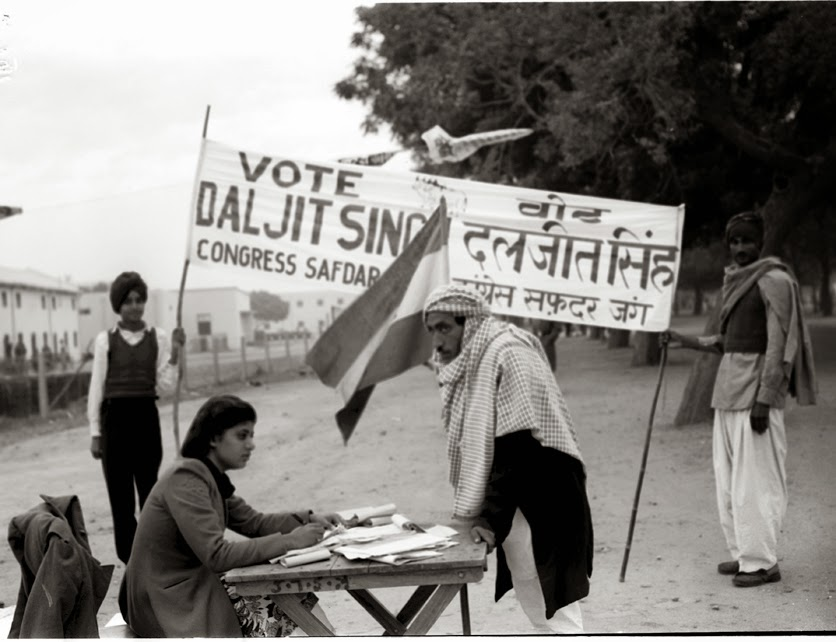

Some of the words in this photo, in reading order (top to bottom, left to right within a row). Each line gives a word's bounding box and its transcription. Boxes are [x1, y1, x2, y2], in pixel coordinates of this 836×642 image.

[233, 149, 362, 199] VOTE
[191, 232, 301, 282] CONGRESS
[192, 178, 335, 251] DALJIT
[299, 252, 387, 290] SAFDAR
[333, 200, 429, 265] SIN
[449, 269, 519, 315] ग्रेस
[455, 213, 608, 288] दलजीत
[518, 286, 603, 326] सफ़दर
[511, 189, 613, 229] वोट
[606, 289, 658, 329] जंग
[599, 220, 682, 298] सिंह